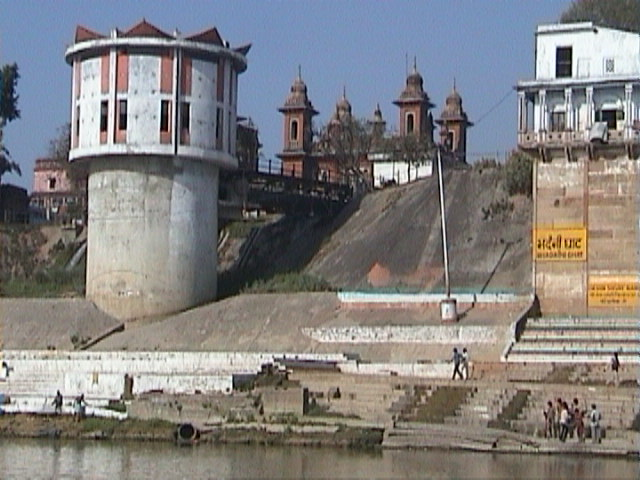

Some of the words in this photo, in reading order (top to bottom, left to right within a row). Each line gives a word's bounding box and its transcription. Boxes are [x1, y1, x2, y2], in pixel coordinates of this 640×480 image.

[557, 234, 587, 252] घाट